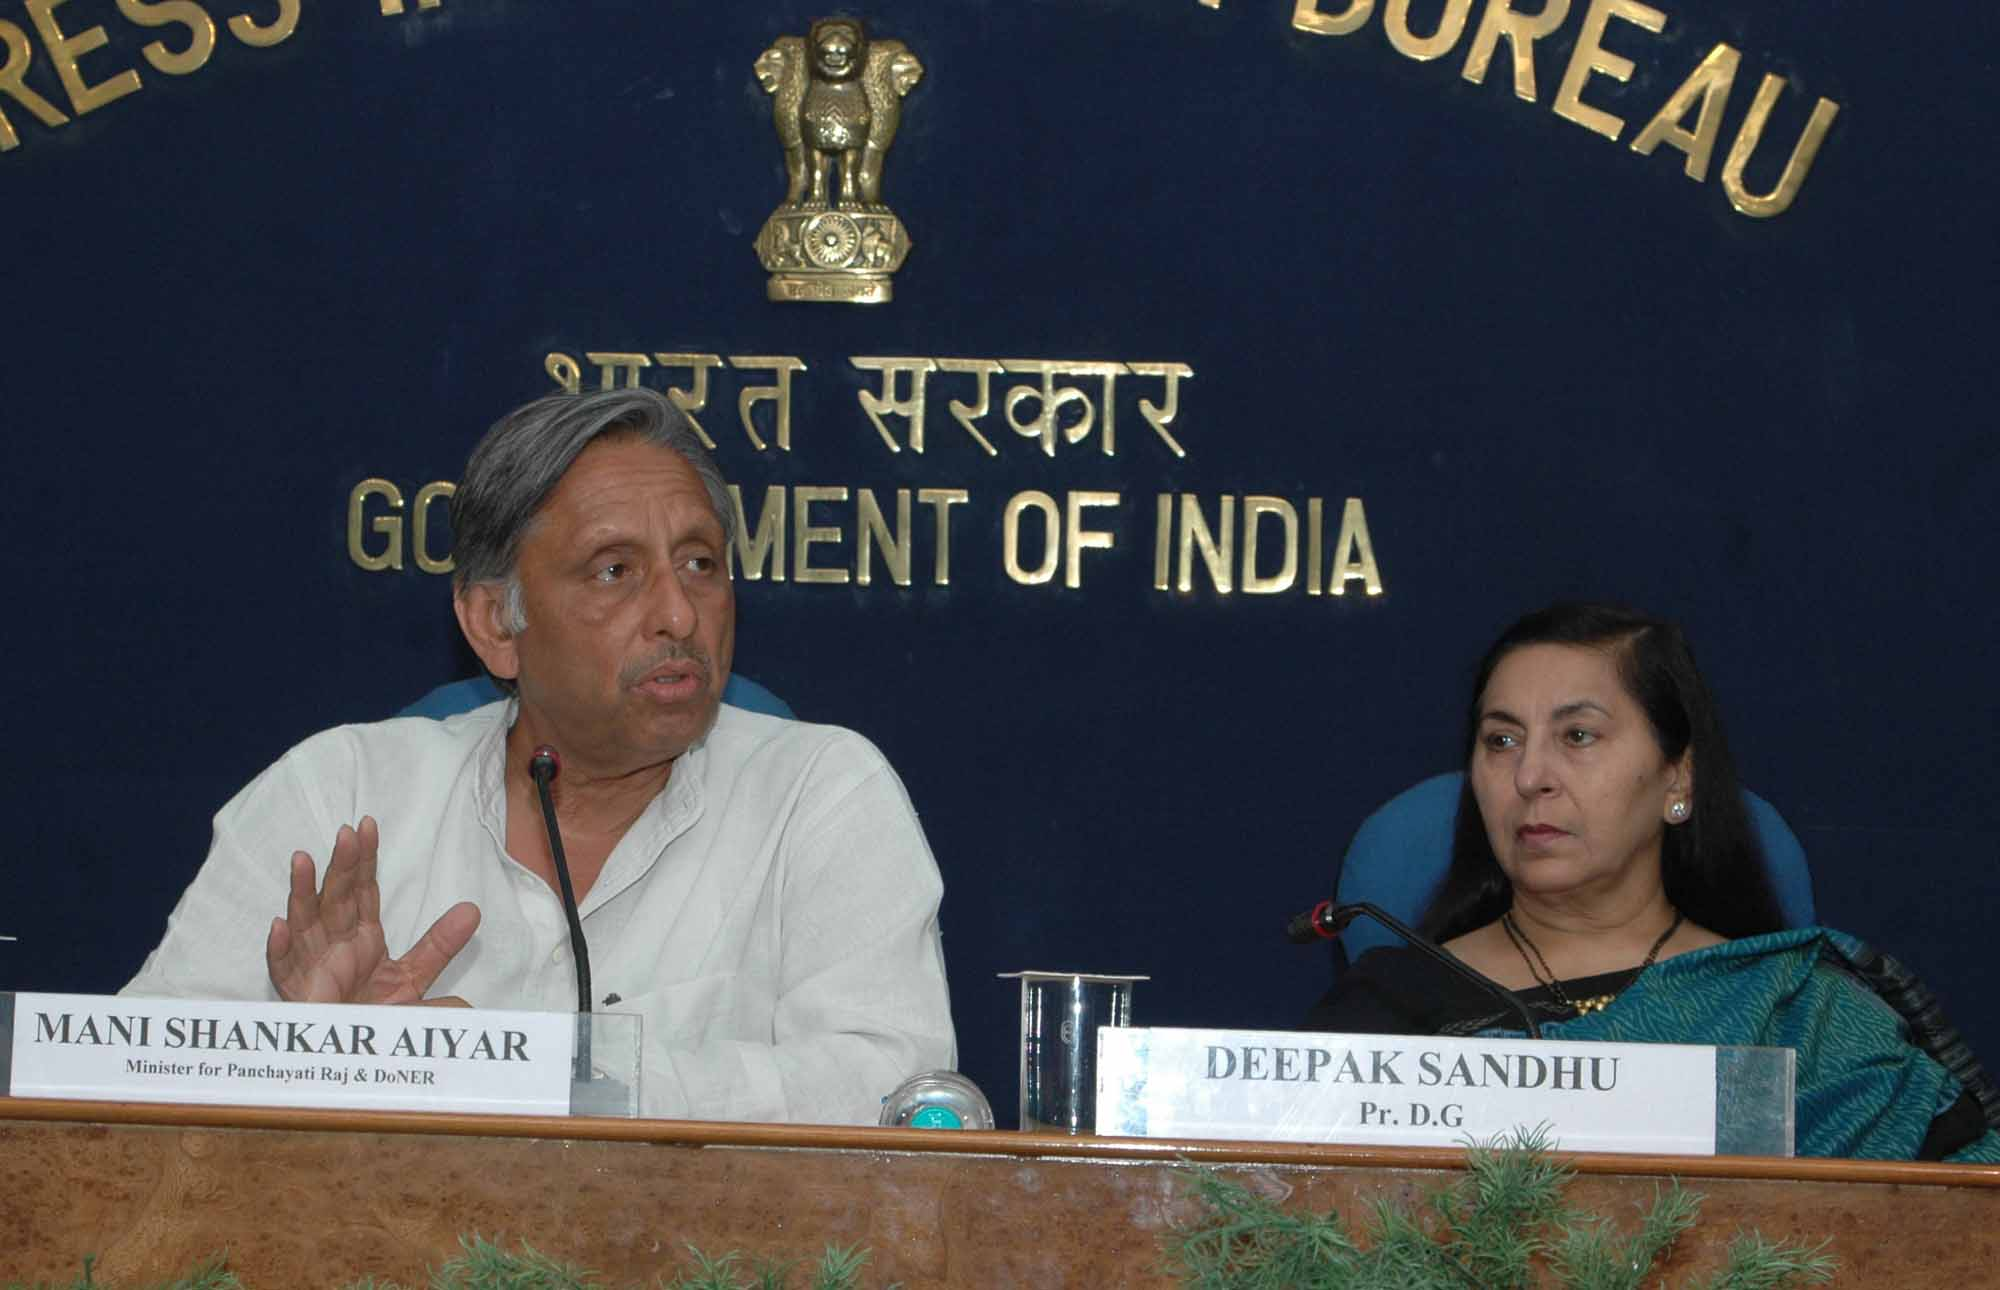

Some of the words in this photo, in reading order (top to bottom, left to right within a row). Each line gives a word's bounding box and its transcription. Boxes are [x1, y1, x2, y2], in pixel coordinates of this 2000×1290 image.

[535, 345, 811, 453] भारत
[851, 349, 1198, 464] सरकार
[984, 471, 1135, 608] OF
[1148, 489, 1387, 601] INDIA
[31, 1010, 155, 1053] MANI
[123, 1055, 197, 1078] Minister
[193, 1055, 225, 1082] for
[159, 1011, 383, 1062] SHANKAR
[226, 1059, 321, 1084] Panchayati.
[318, 1061, 355, 1087] Raj
[371, 1064, 439, 1091] DoNER
[388, 1023, 534, 1065] AIYAR
[1199, 1039, 1408, 1089] DEEPAK
[1411, 1046, 1623, 1097] SANDHU
[1352, 1095, 1401, 1134] Pr.
[1405, 1095, 1470, 1138] D.G